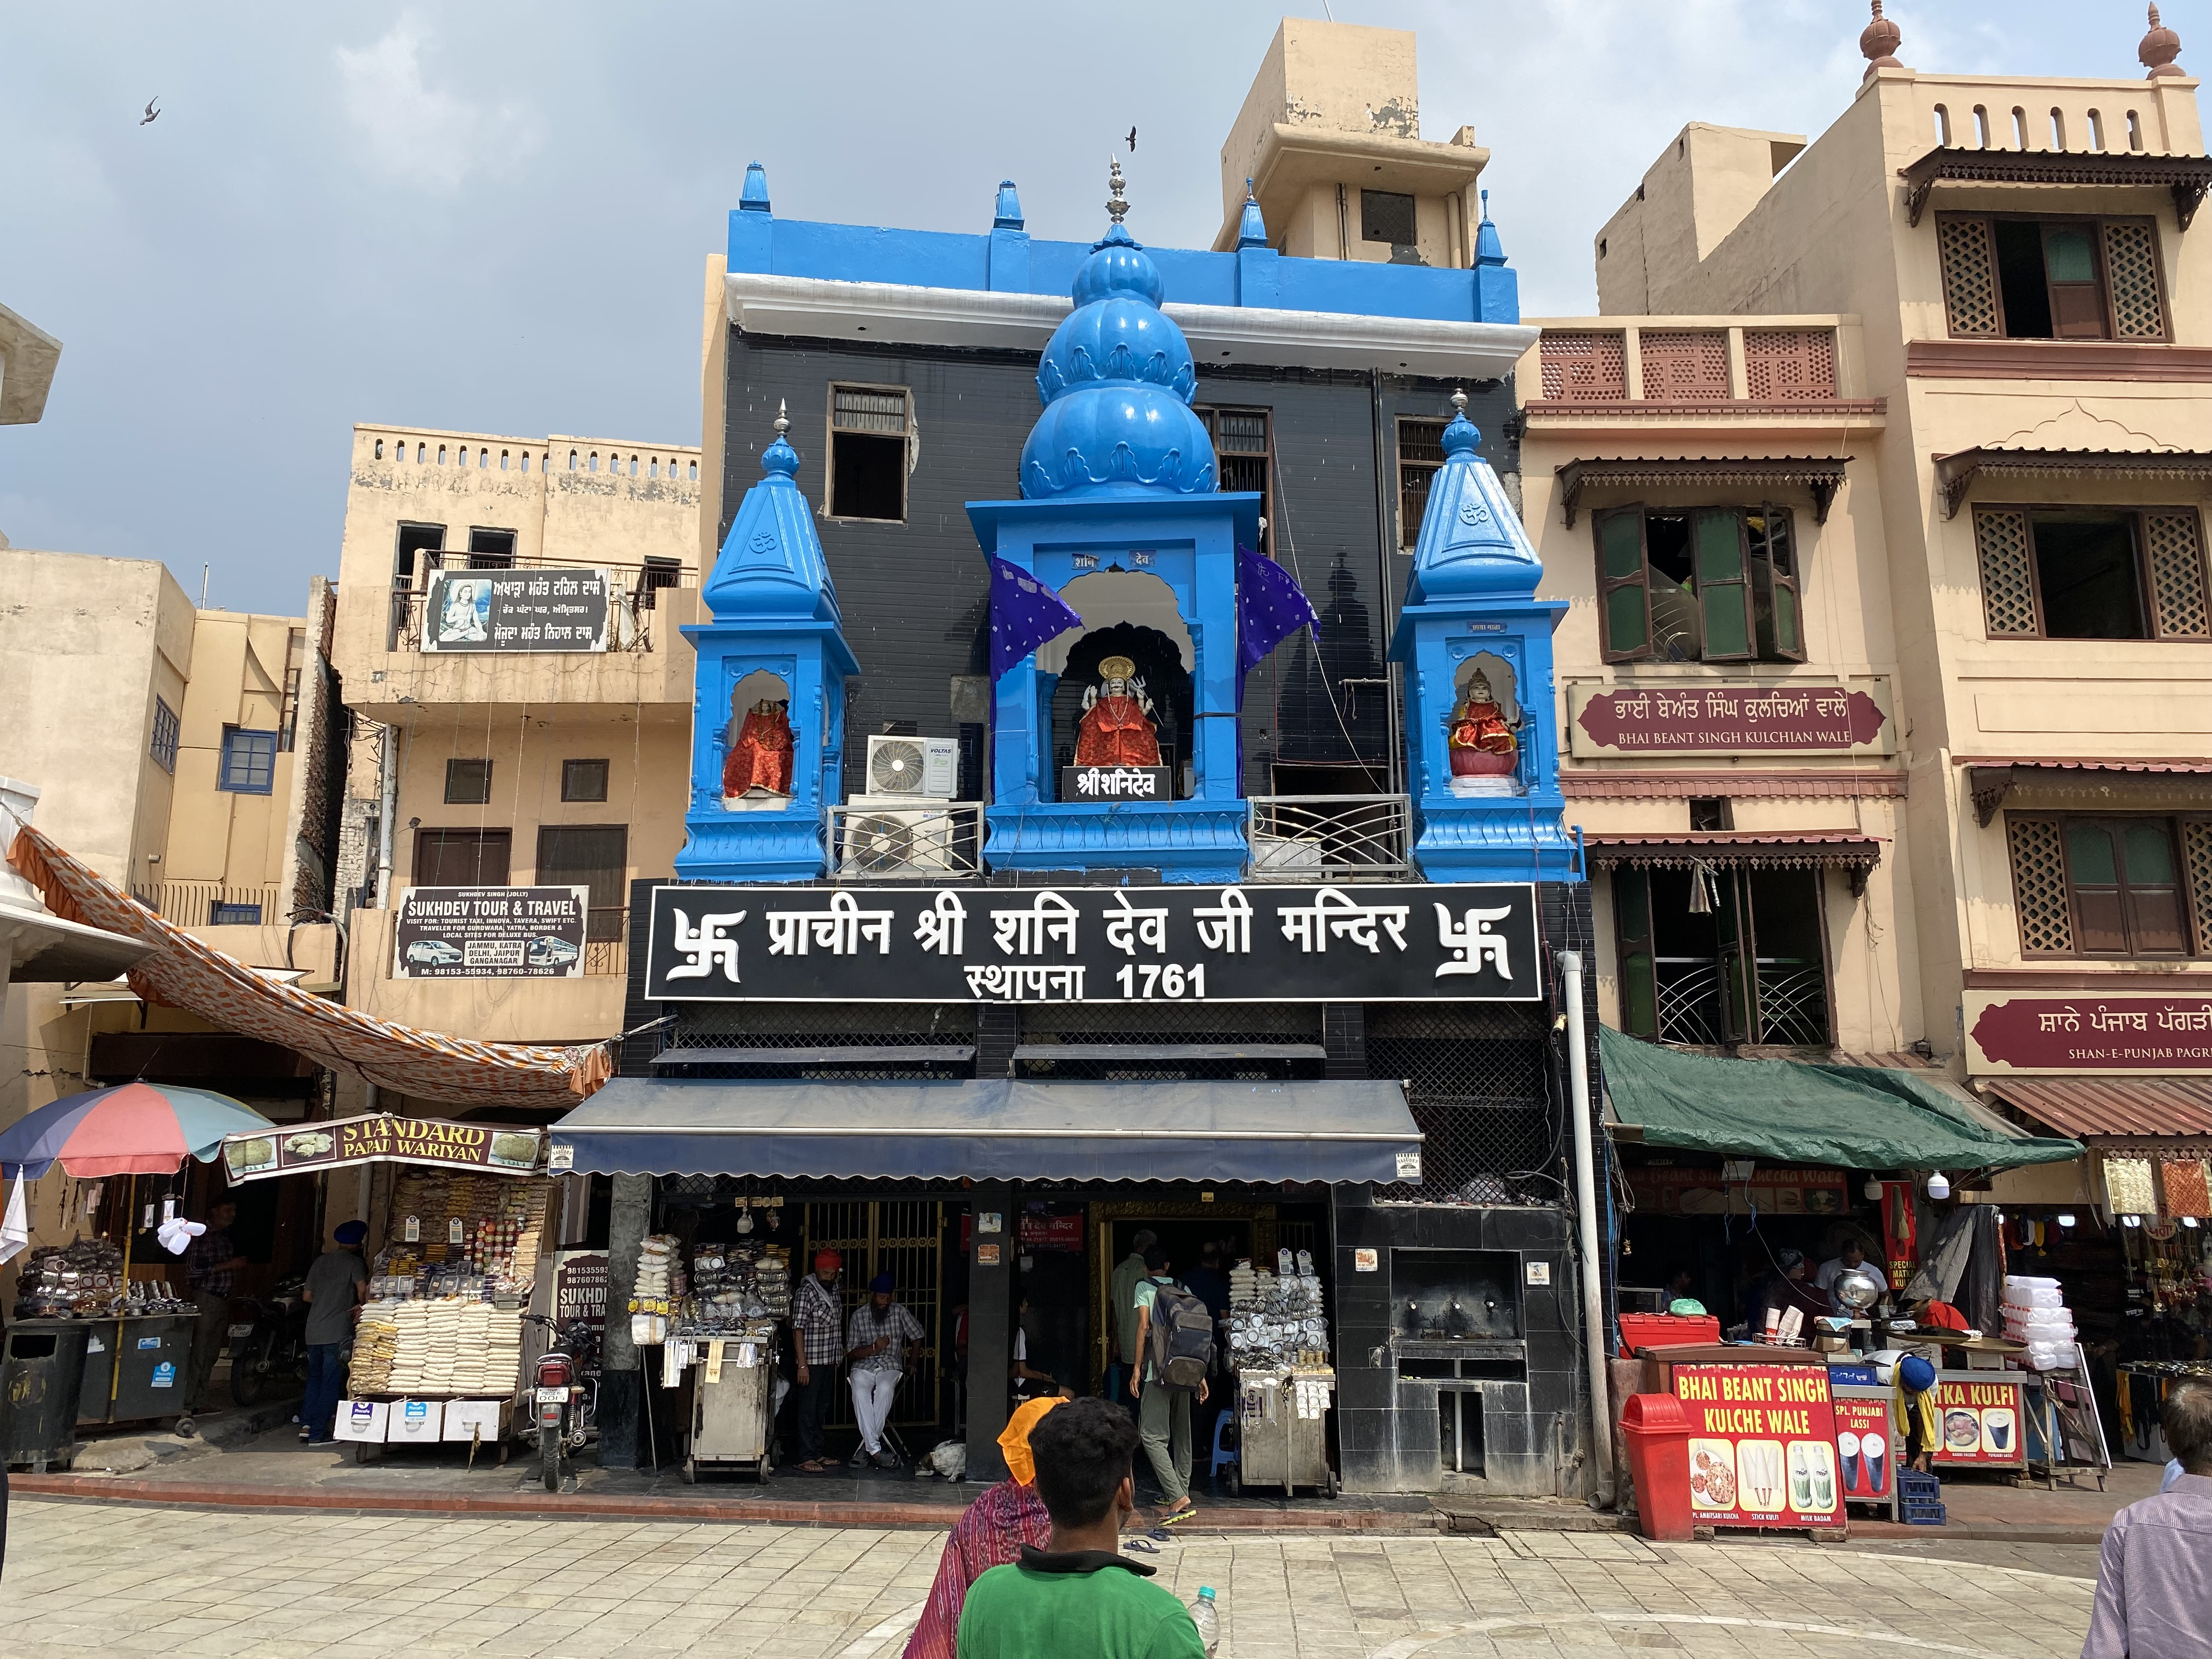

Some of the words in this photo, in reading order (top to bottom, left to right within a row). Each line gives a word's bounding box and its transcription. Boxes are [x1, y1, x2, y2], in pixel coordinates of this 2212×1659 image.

[1457, 496, 1493, 531] ॐ
[746, 528, 781, 556] ॐ
[1072, 552, 1097, 571] शनि
[1132, 550, 1154, 567] देव
[491, 578, 526, 601] ਅਖਾੜਾ
[526, 575, 551, 599] ਮਹੰਤ
[550, 574, 580, 599] ਦਹਿਲ
[580, 578, 602, 599] ਦਾਸ
[500, 601, 515, 616] ਚੌਕ
[514, 602, 549, 615] ਘੰਟਾਘਰ
[550, 601, 586, 617] ਅੰਮ੍ਰਿਤਸਰ
[490, 620, 520, 647] ਮੋਜੂਦਾ
[519, 621, 542, 644] ਮਹੰਤ
[543, 620, 573, 642] ਨਿਹਾਲ
[574, 623, 594, 642] ਦਾਸ
[1470, 623, 1487, 633] छाया
[1486, 622, 1505, 632] माता
[1610, 690, 1654, 725] ਭਾਈ
[1653, 689, 1702, 726] ਬੇਅੰਤ
[1703, 689, 1742, 723] ਸਿੰਘ
[1742, 687, 1814, 726] ਕੁਲਚਿਆਂ
[1813, 689, 1849, 723] ਵਾਲੇ
[1617, 729, 1652, 746] BHAI
[1652, 730, 1696, 746] BEANT
[1696, 729, 1743, 746] SINGH
[1743, 729, 1814, 745] KULCHIAN
[1815, 728, 1853, 747] WALE
[929, 747, 952, 755] VOLTAS
[1072, 766, 1101, 799] श्री
[1100, 766, 1159, 800] शनिदेव
[457, 890, 487, 898] SUKHDEV
[486, 890, 506, 898] SINGH
[509, 890, 528, 898] JOLLY)
[407, 899, 471, 918] SUKHDEV
[471, 899, 510, 917] TOUR
[512, 899, 524, 917] &
[524, 899, 578, 917] TRAVEL
[404, 917, 424, 926] VISIT
[423, 917, 438, 924] FOR
[417, 924, 452, 932] TRAVELER
[441, 931, 464, 940] LOCAL
[439, 917, 467, 924] TOURIST
[452, 924, 466, 932] FOR
[464, 932, 483, 940] SITES
[467, 917, 484, 924] TAXI,
[466, 924, 505, 932] GURDWARA,
[482, 931, 498, 939] FOR
[484, 917, 512, 924] INNOVA,
[496, 932, 523, 939] DELUXE
[505, 924, 529, 932] YATRA,
[512, 917, 538, 924] TAVERA,
[522, 931, 538, 939] BUS.
[528, 924, 557, 932] BORDER
[538, 916, 562, 924] SWIFT
[556, 923, 565, 932] &
[561, 916, 578, 924] ETC.
[758, 890, 901, 969] प्राचीन
[907, 891, 972, 962] श्री
[979, 890, 1086, 962] शनि
[1098, 889, 1172, 960] देव
[1184, 884, 1262, 960] जी
[1272, 887, 1413, 962] मन्दिर
[467, 950, 493, 957] DELHI,
[466, 941, 498, 950] JAMMU,
[467, 957, 518, 965] GANGANAGAR
[492, 950, 522, 957] JAIPUR
[499, 940, 524, 950] KATRA
[420, 966, 429, 977] M
[432, 967, 494, 976] 98153-55934,
[495, 965, 557, 976] 98760-78626
[958, 963, 1088, 1002] स्थापना
[1111, 961, 1208, 1000] 1761
[2034, 1002, 2084, 1036] ਸ਼ਾਨੇ
[2086, 1001, 2151, 1039] ਪੰਜਾਬ
[2151, 1001, 2211, 1041] ਪੱਗੜੀ
[2067, 1045, 2174, 1062] SHAN-E-PUNJAB
[2174, 1047, 2211, 1060] PAGR
[340, 1114, 489, 1147] STANDARD
[342, 1137, 392, 1159] PAPAD
[394, 1137, 484, 1165] WARIYAN
[566, 1263, 608, 1276] 981535593
[564, 1273, 608, 1285] 987607862
[557, 1286, 608, 1305] SUKHDI
[558, 1304, 583, 1319] TOUR
[580, 1304, 590, 1319] &
[589, 1303, 607, 1319] TRA
[1675, 1370, 1720, 1404] BHAI
[1719, 1372, 1775, 1406] BEANT
[1774, 1371, 1831, 1407] SINGH
[1943, 1382, 1967, 1408] KA
[1967, 1381, 2018, 1409] KULFI
[1833, 1403, 1853, 1418] SPL.
[1850, 1404, 1886, 1419] PUNJABI
[1700, 1406, 1767, 1438] KULCHE
[1764, 1407, 1812, 1437] WALE
[1848, 1417, 1871, 1431] LASSI